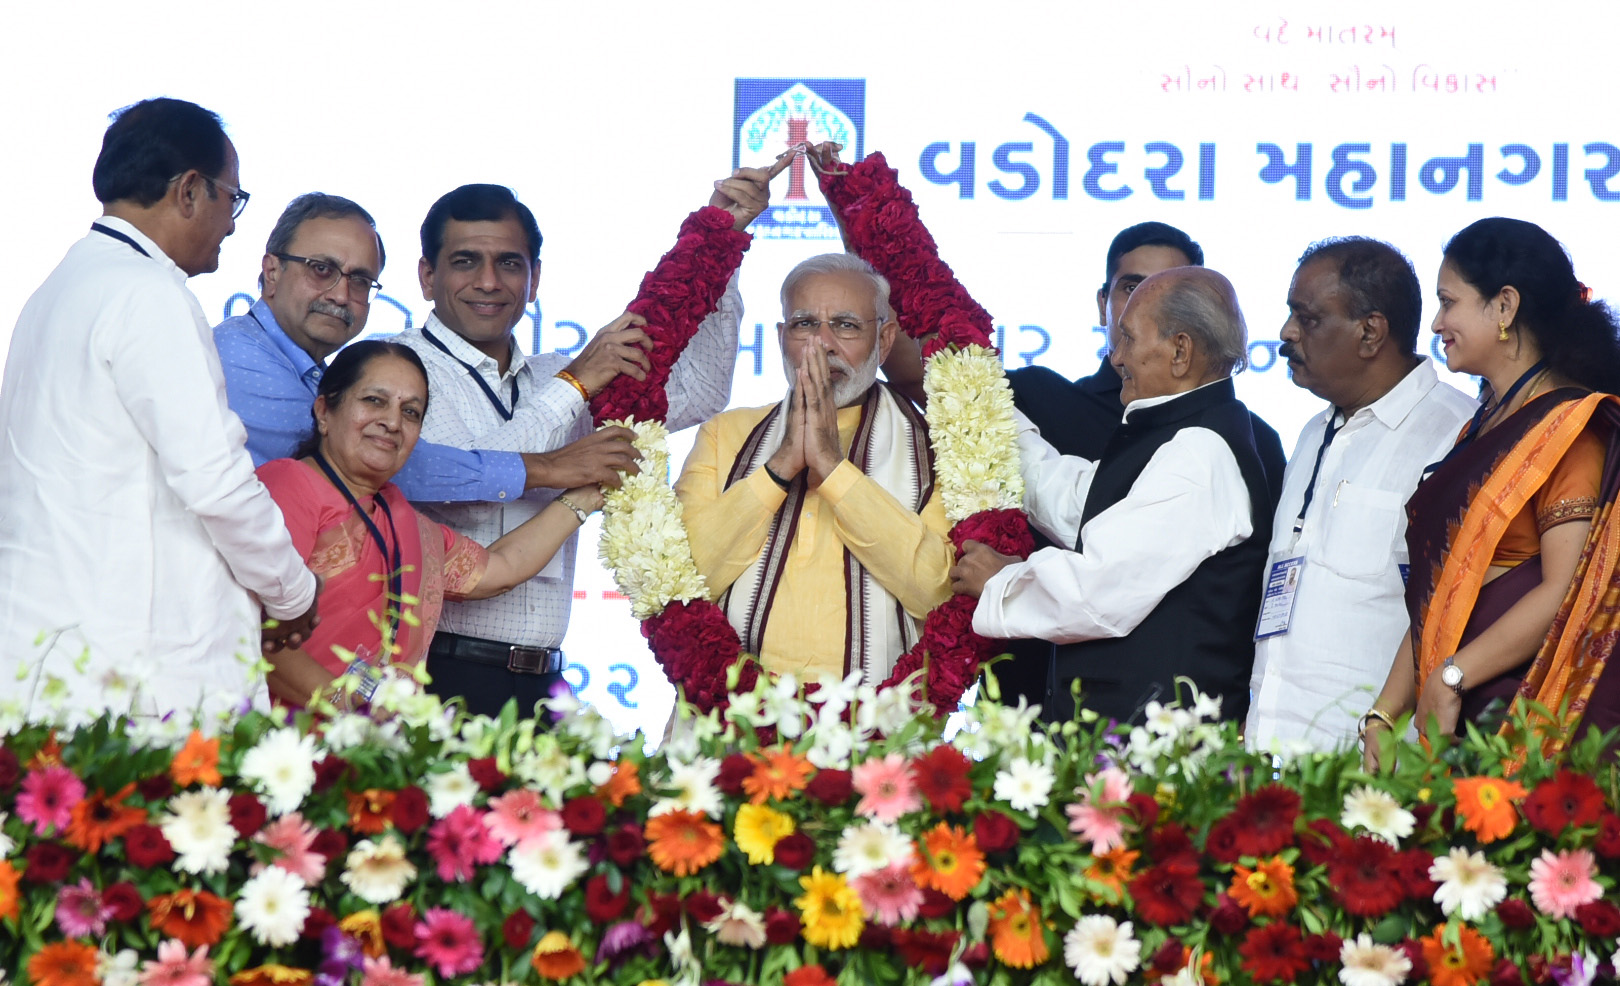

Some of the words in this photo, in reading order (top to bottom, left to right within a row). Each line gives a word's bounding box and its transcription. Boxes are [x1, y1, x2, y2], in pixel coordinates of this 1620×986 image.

[1244, 12, 1301, 53] વદે
[1294, 14, 1413, 51] માતરમ્
[1146, 54, 1236, 108] સોનો
[1236, 61, 1310, 106] સાથ
[1321, 58, 1403, 102] સૌનો
[1402, 54, 1506, 105] વિકાસ
[906, 104, 1226, 210] વડોદરા
[1248, 134, 1620, 214] મહાનગર
[596, 654, 654, 718] 2